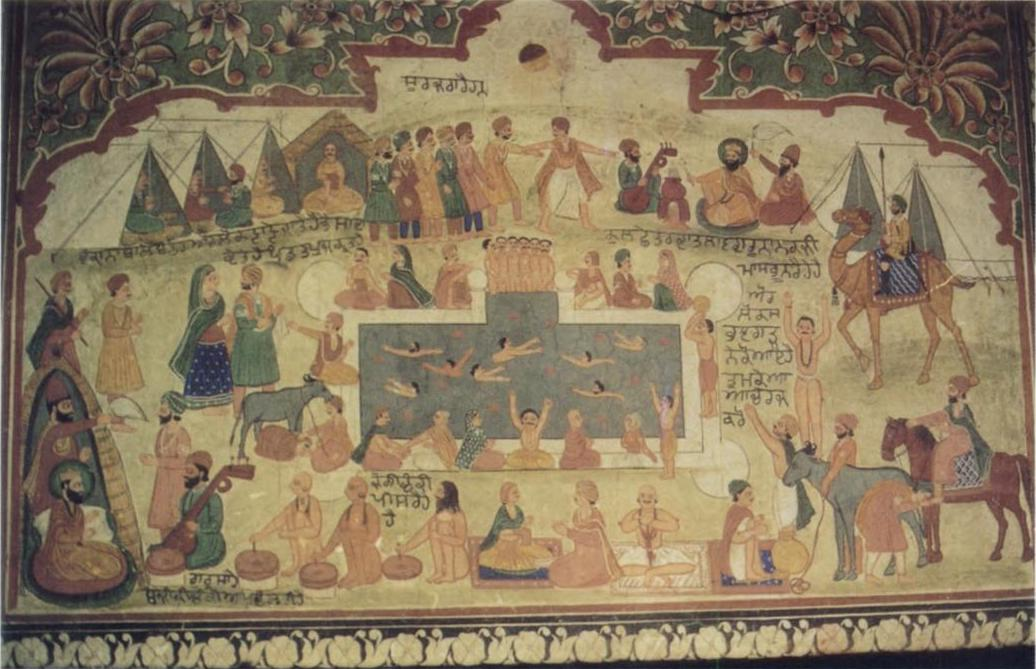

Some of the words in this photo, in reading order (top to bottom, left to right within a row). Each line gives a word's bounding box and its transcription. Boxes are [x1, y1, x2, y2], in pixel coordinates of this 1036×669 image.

[395, 66, 496, 107] ਸੁਰਜਰਾਰੈਗ੍ਰ
[745, 279, 784, 306] ਅੋਰ
[734, 296, 785, 323] ਸੋਕਸ
[719, 319, 789, 347] ਭਦਗਤ
[718, 341, 799, 369] ਨੇਕੋਆਇਹੇ
[719, 367, 796, 388] ਤਮਕੇਆ
[719, 387, 795, 409] ਆਦਰਜ
[720, 403, 751, 428] ਕਰੋ
[379, 506, 401, 531] ਹੈ